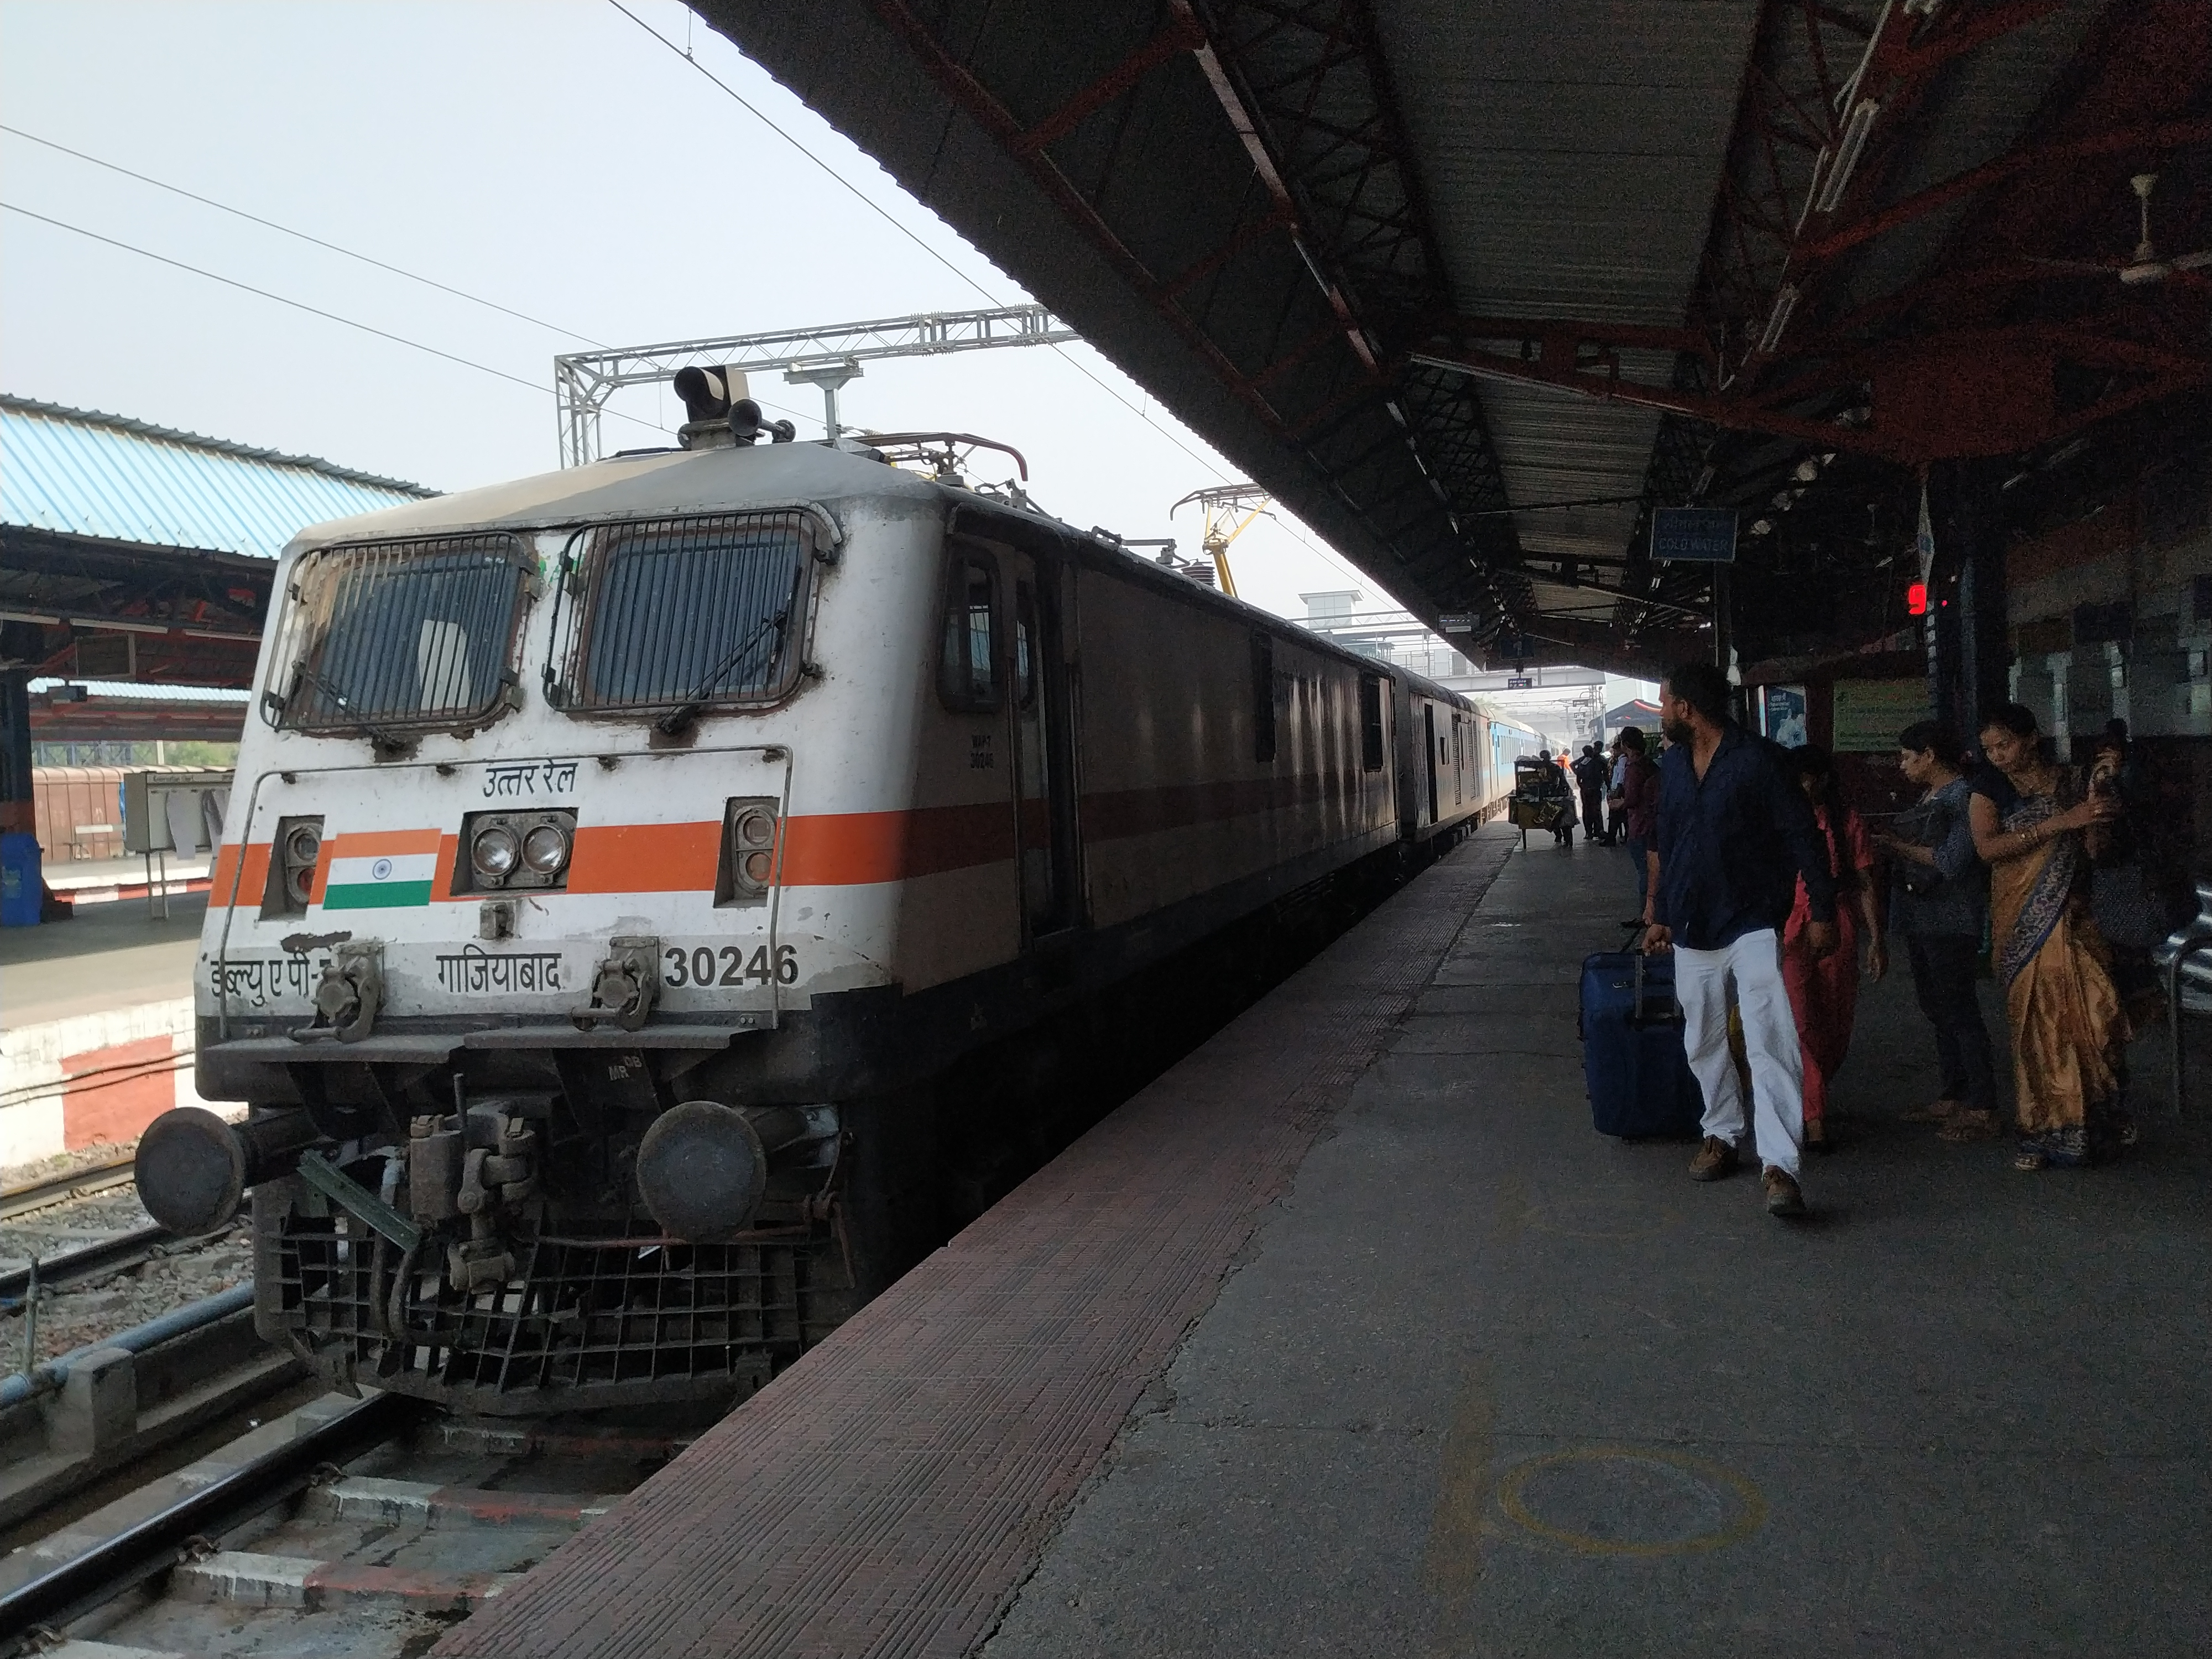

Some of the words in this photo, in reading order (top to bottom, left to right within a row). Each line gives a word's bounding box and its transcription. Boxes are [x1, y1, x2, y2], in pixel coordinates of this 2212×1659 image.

[482, 764, 540, 800] उत्‍तर
[542, 756, 579, 795] रेल
[208, 959, 266, 1008] डब्ल्यु
[267, 948, 311, 999] एपी
[436, 940, 562, 994] गाजियाबाद
[665, 943, 799, 988] 30246